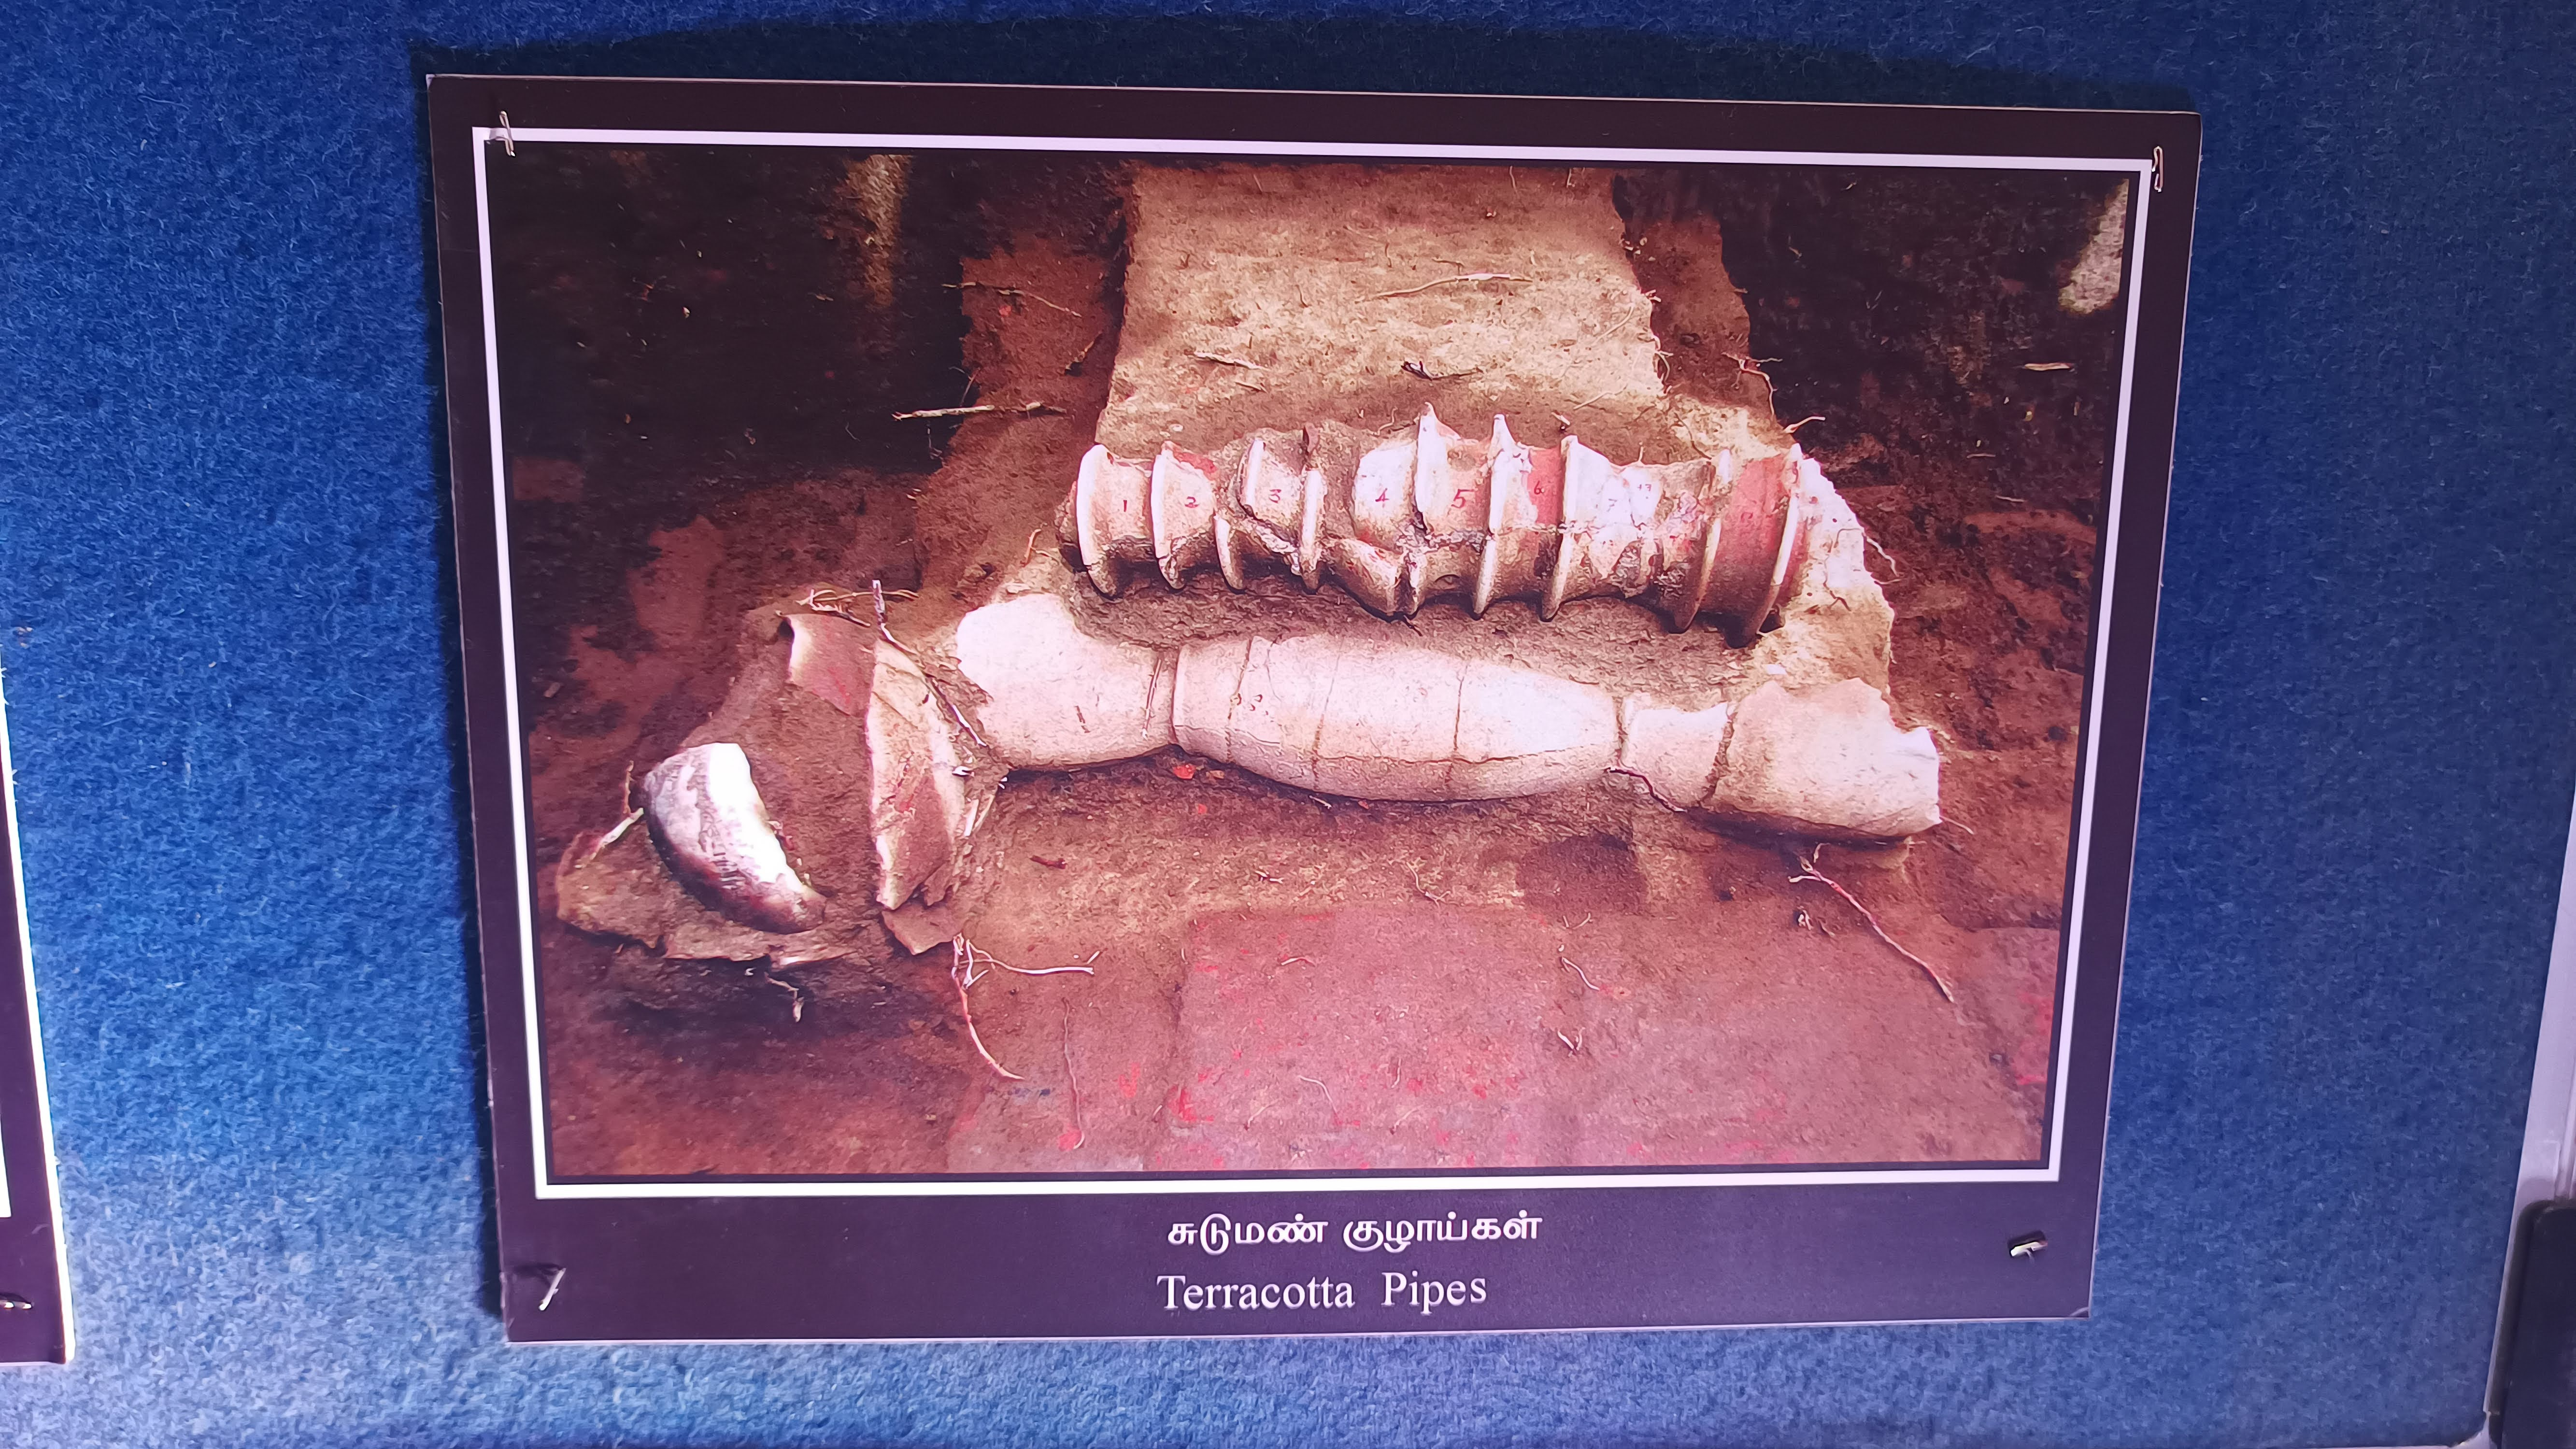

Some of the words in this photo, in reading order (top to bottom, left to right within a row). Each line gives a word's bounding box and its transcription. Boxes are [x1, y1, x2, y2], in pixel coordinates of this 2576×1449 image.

[1162, 1203, 1328, 1261] சுடுமண்
[1336, 1203, 1544, 1258] குழாய்கள்
[1149, 1269, 1357, 1314] Terracotta
[1379, 1264, 1493, 1318] Pipes